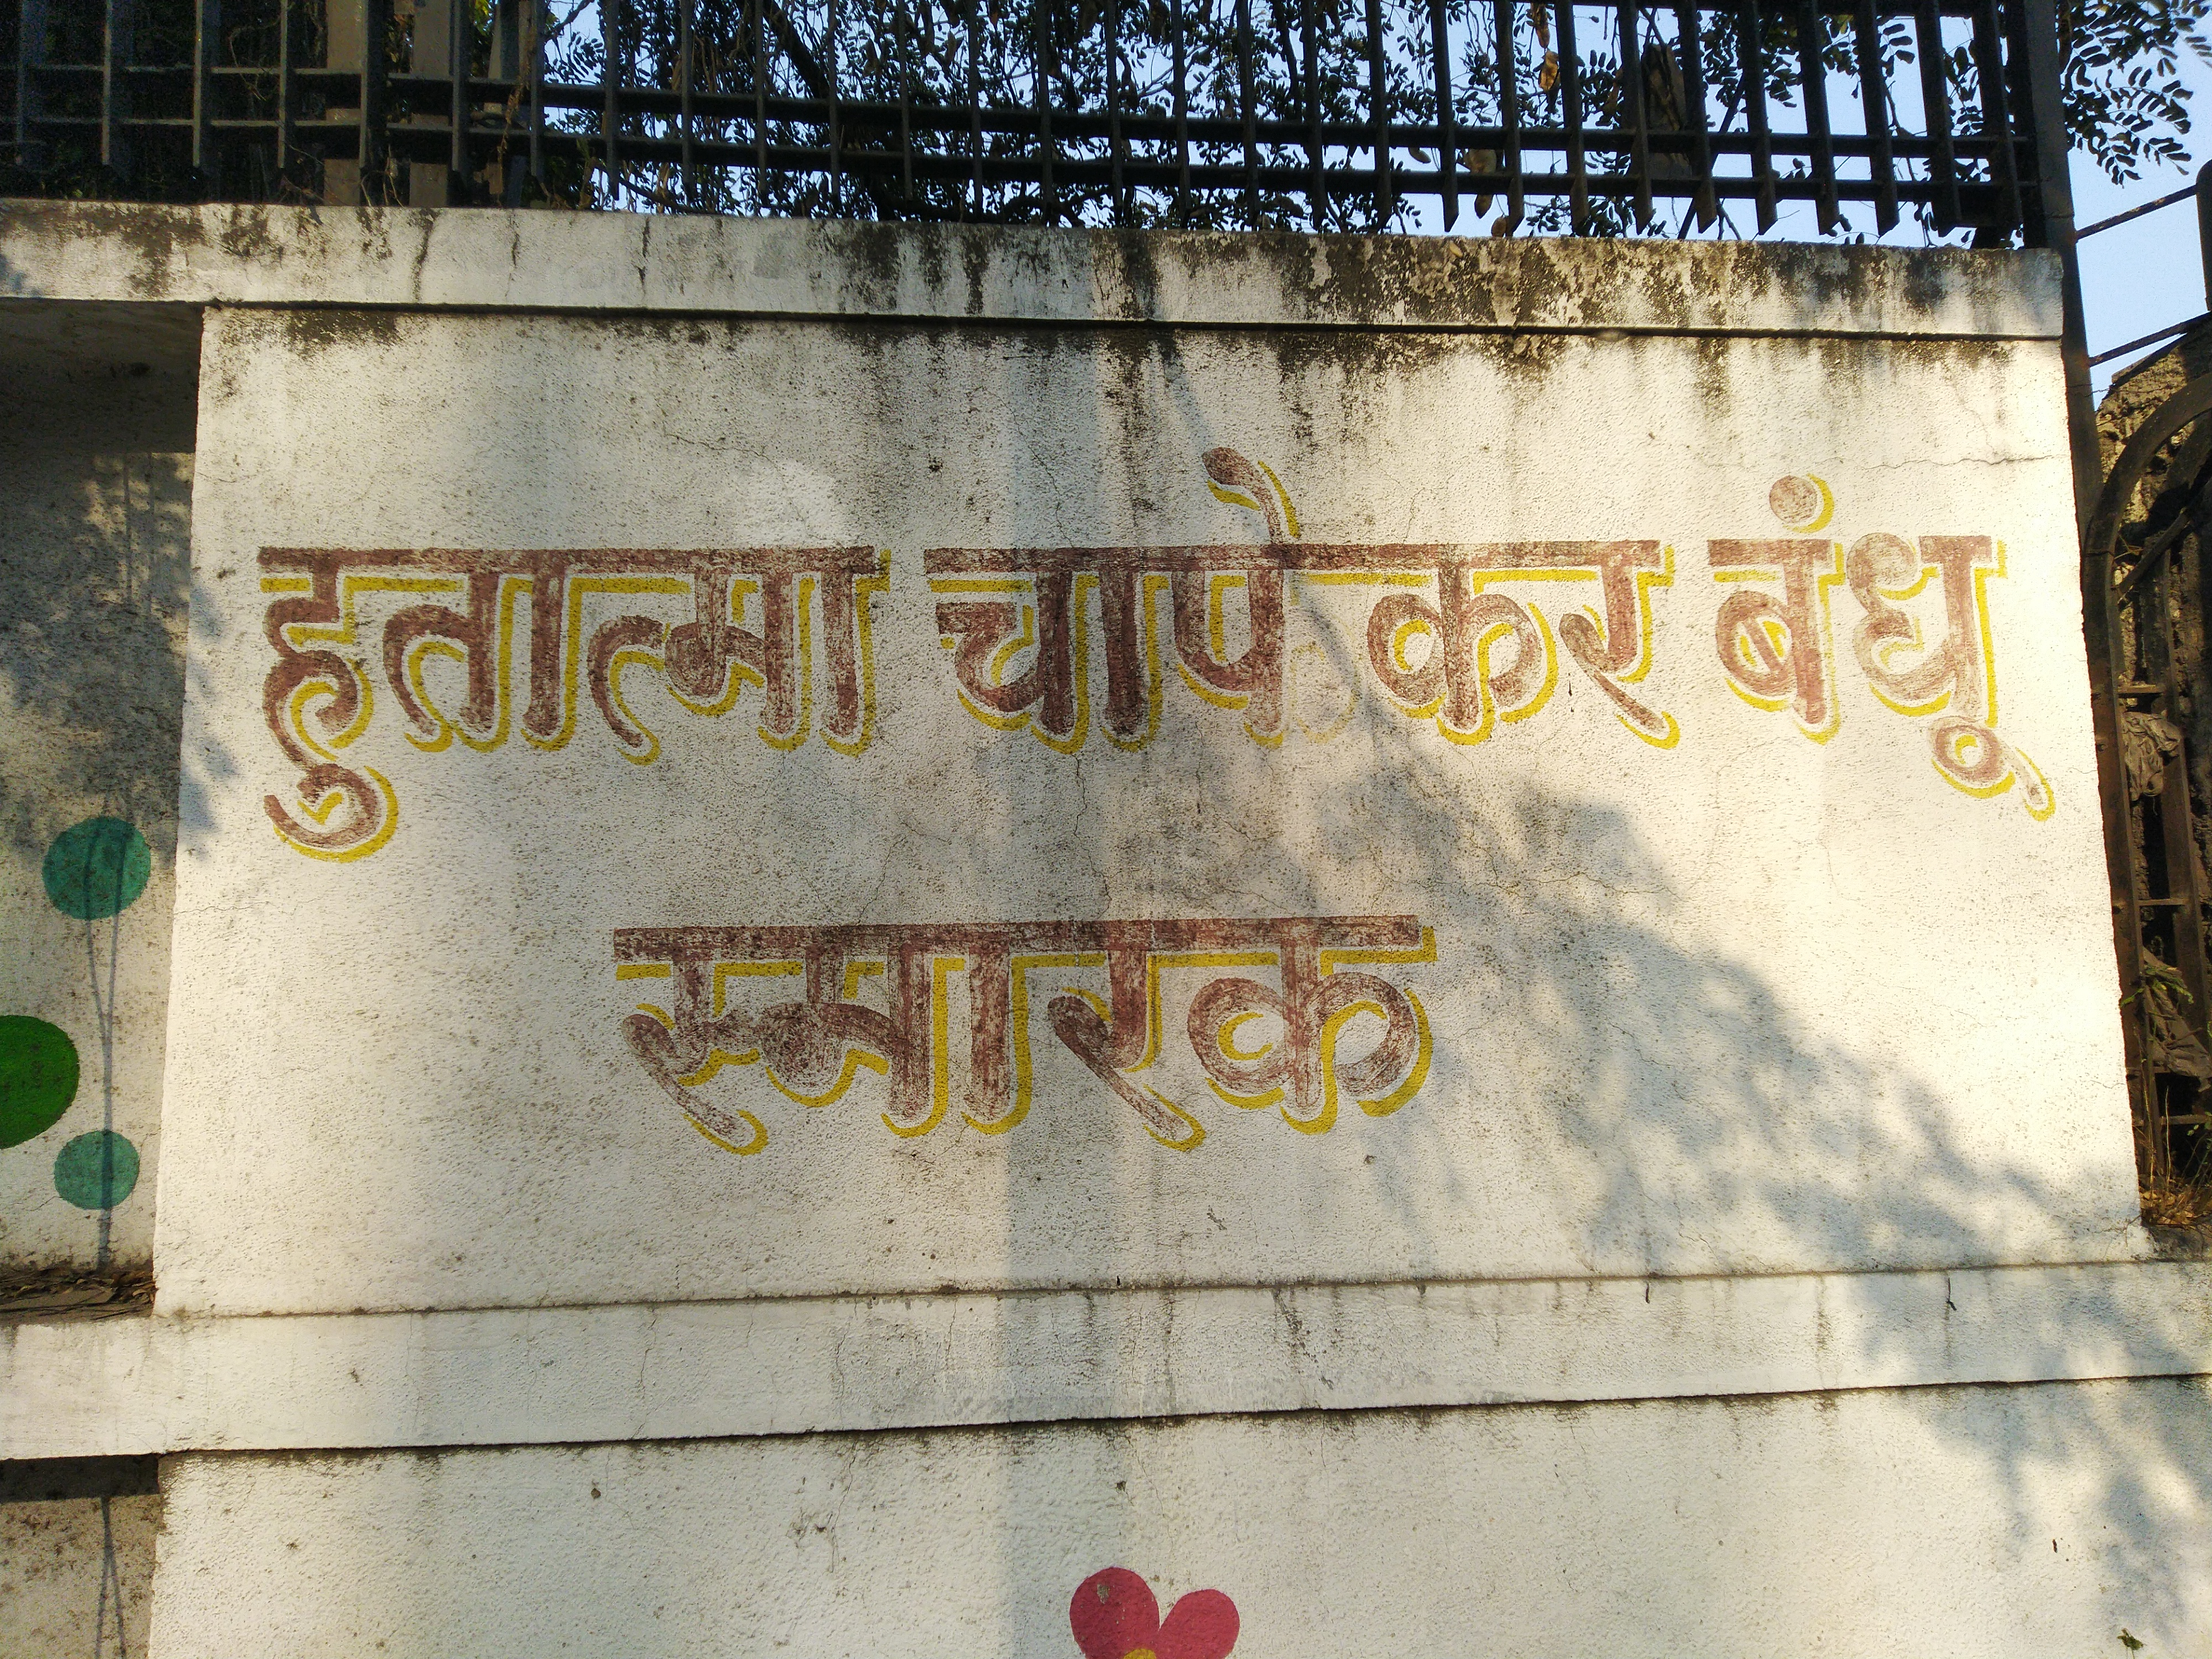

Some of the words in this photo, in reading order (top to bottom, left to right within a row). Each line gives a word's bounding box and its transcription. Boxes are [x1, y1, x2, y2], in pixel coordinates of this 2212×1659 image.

[232, 507, 907, 895] हुतात्मा
[905, 432, 1700, 785] चापेकर
[1688, 460, 2080, 857] बंधू
[592, 886, 1468, 1202] स्मारक